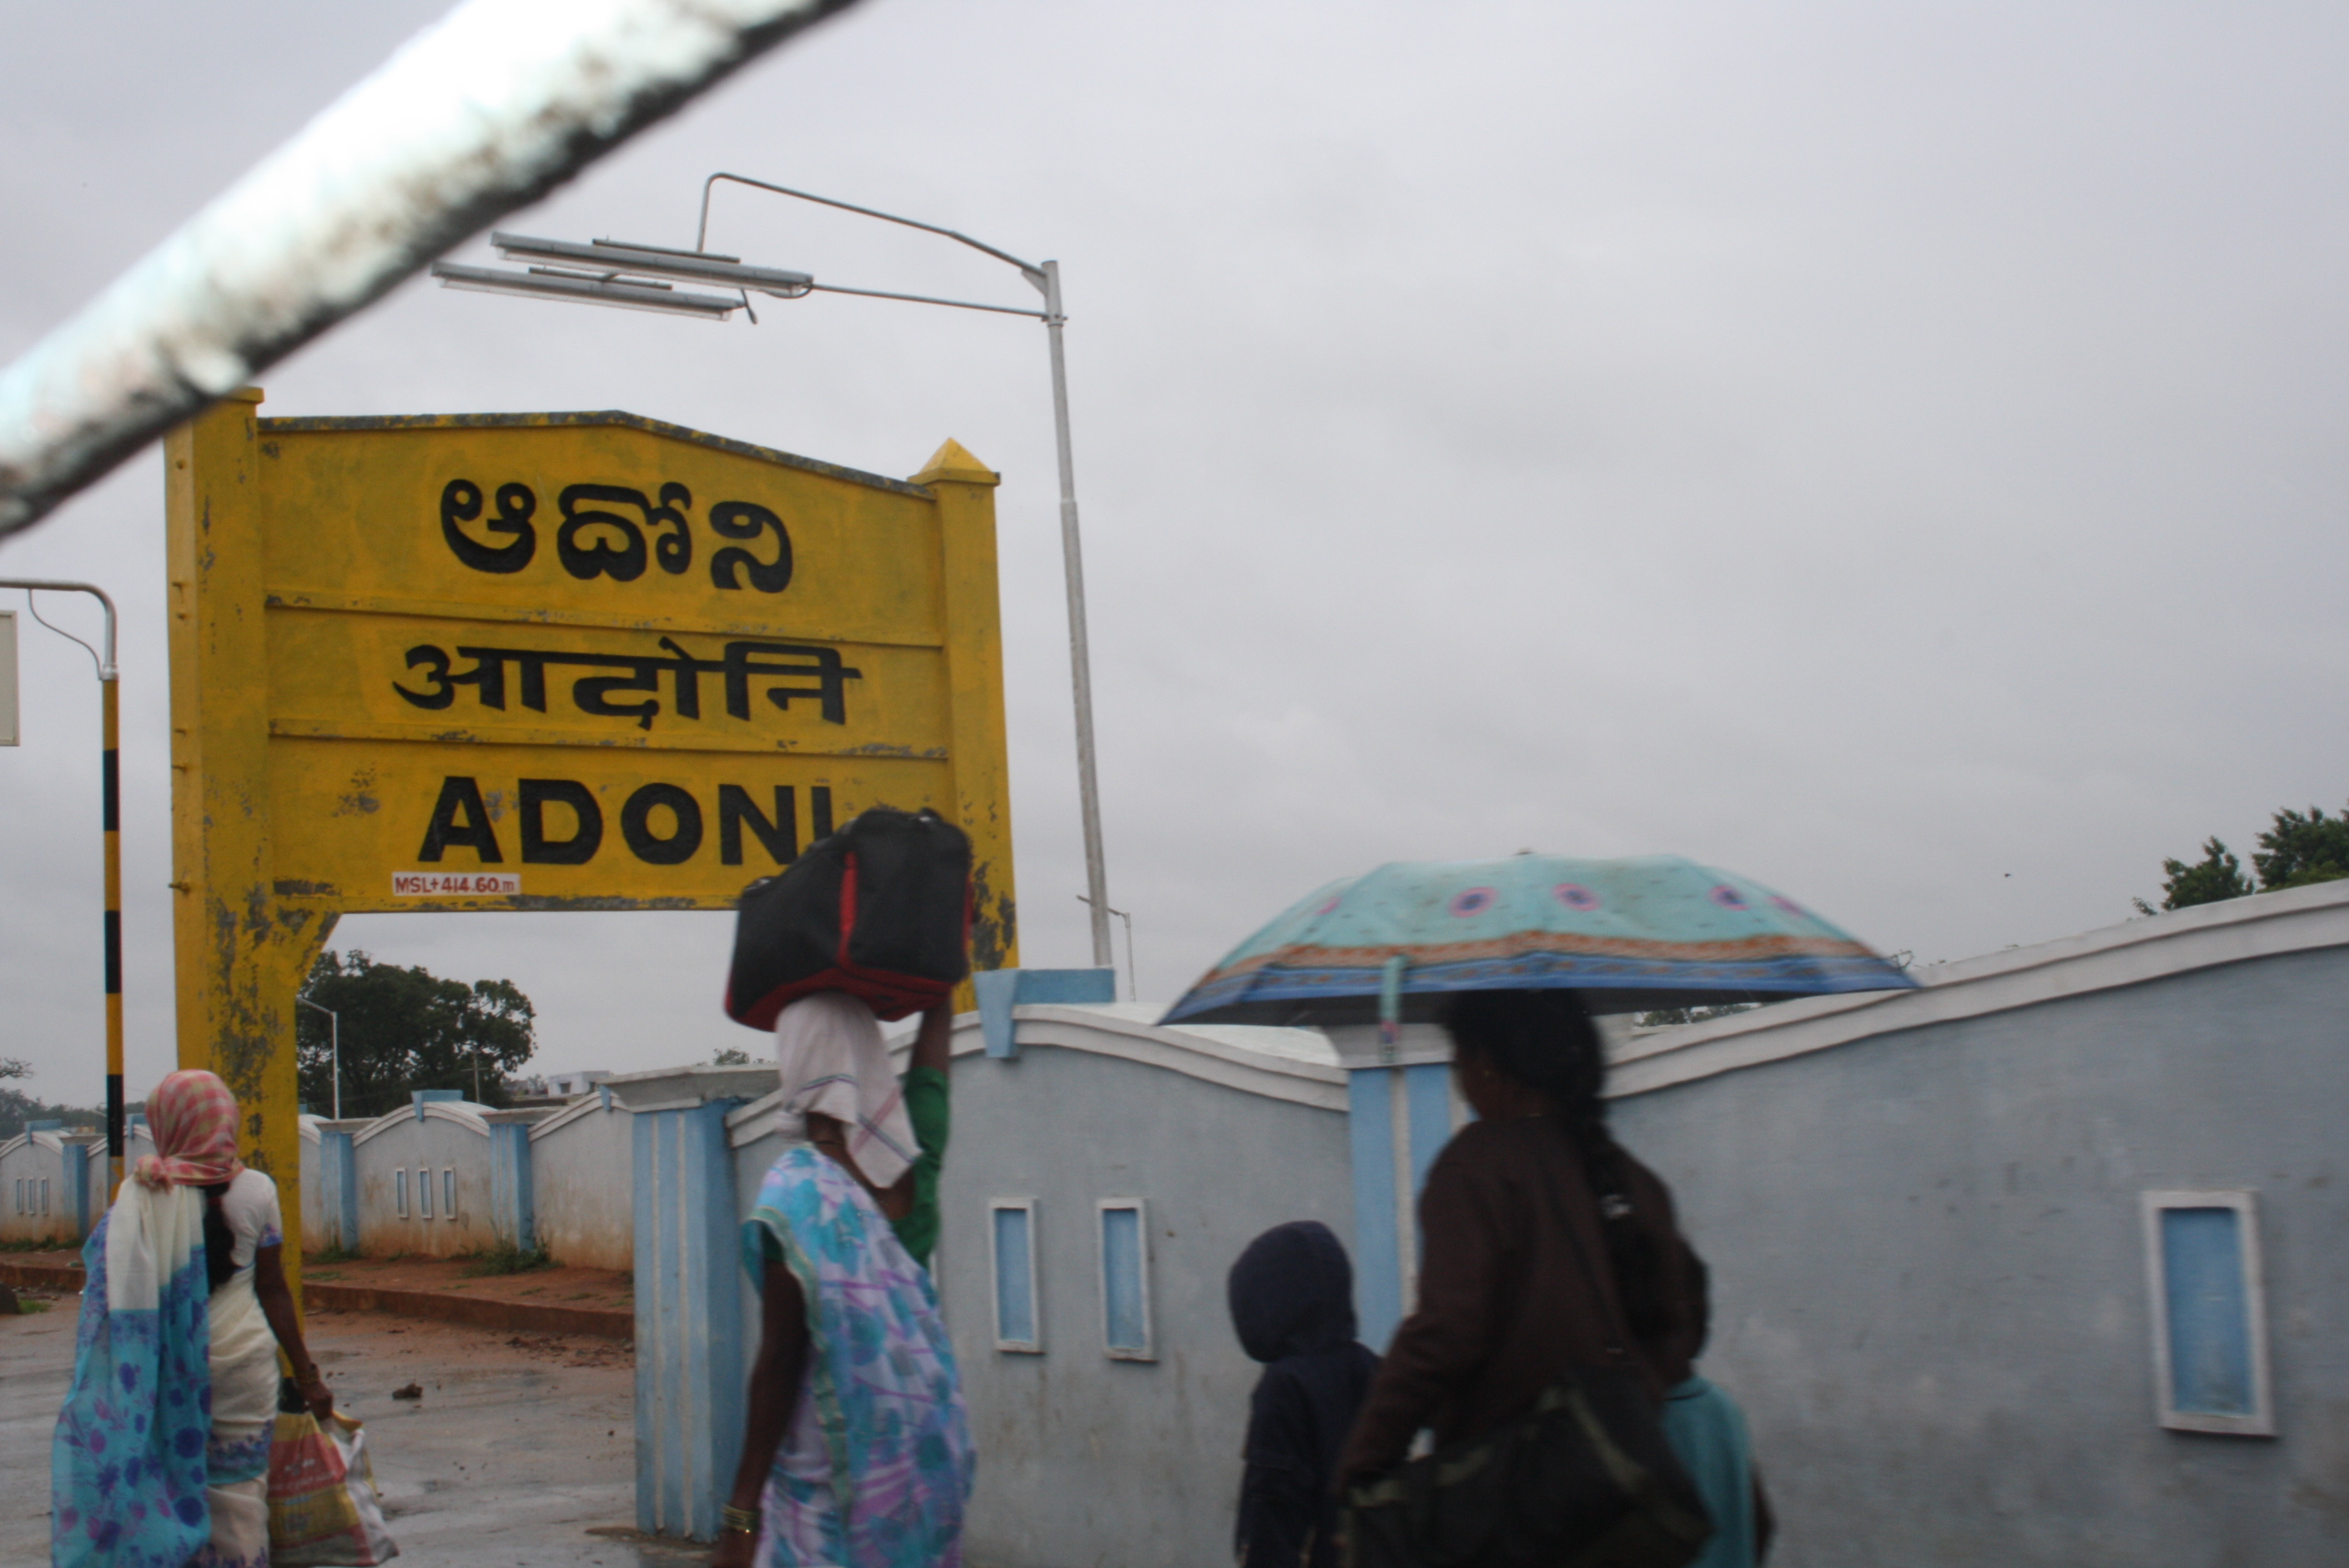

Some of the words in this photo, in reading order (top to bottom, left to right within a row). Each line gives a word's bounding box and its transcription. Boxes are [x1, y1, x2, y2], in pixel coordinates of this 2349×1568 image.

[430, 464, 802, 601] ఆదోని
[389, 627, 868, 737] आदोनि
[417, 766, 849, 869] ADONI